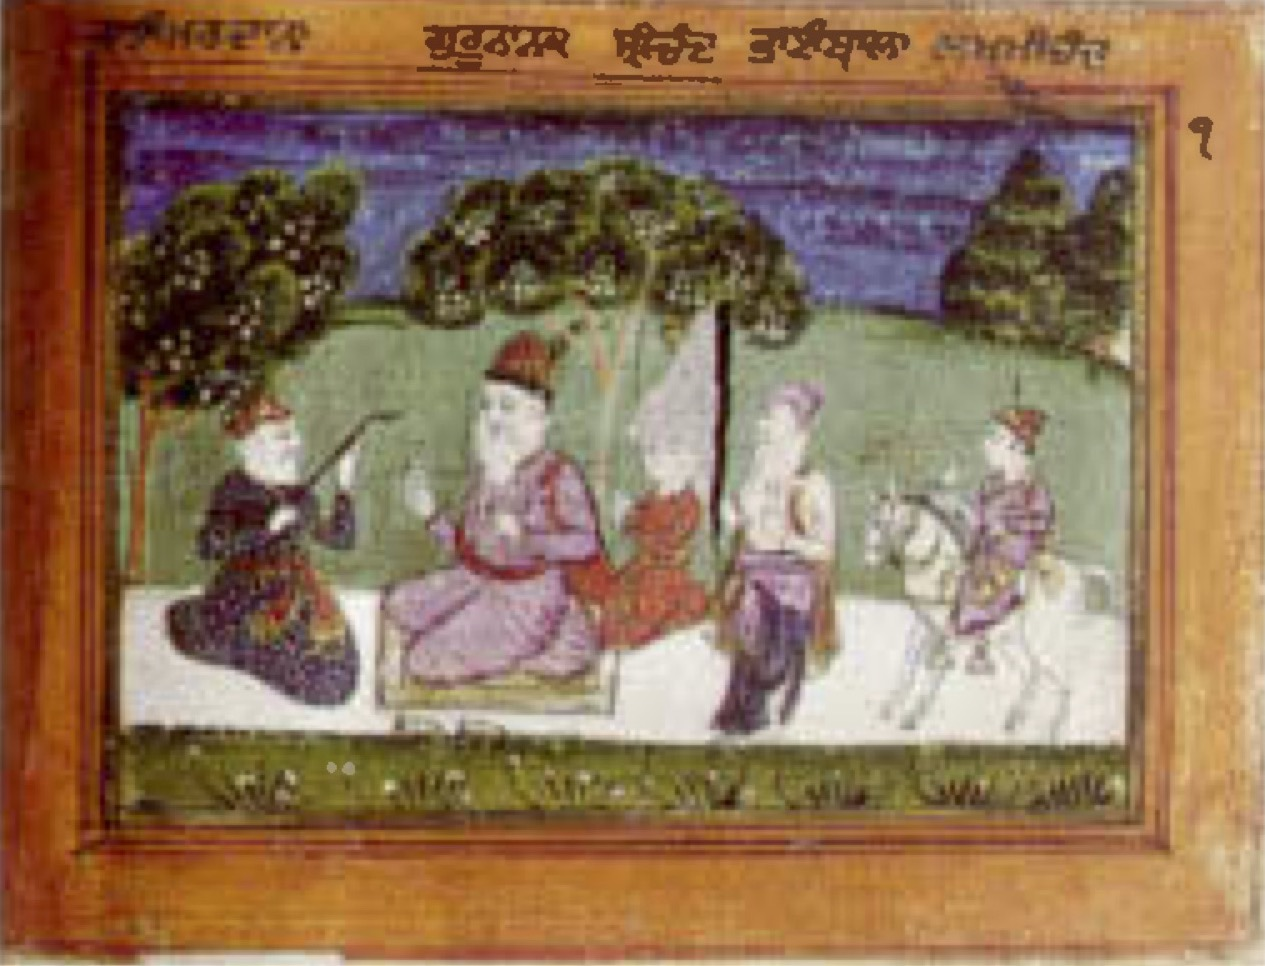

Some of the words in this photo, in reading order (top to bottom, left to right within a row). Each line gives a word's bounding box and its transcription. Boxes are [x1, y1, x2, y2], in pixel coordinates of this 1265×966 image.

[406, 15, 581, 76] ਗੁਰੂਨਾਨਕ
[600, 10, 725, 75] ਸ੍ਰੀਚਟ
[740, 9, 925, 74] ਭਾਈਬਾਲ
[1178, 105, 1229, 164] ੧